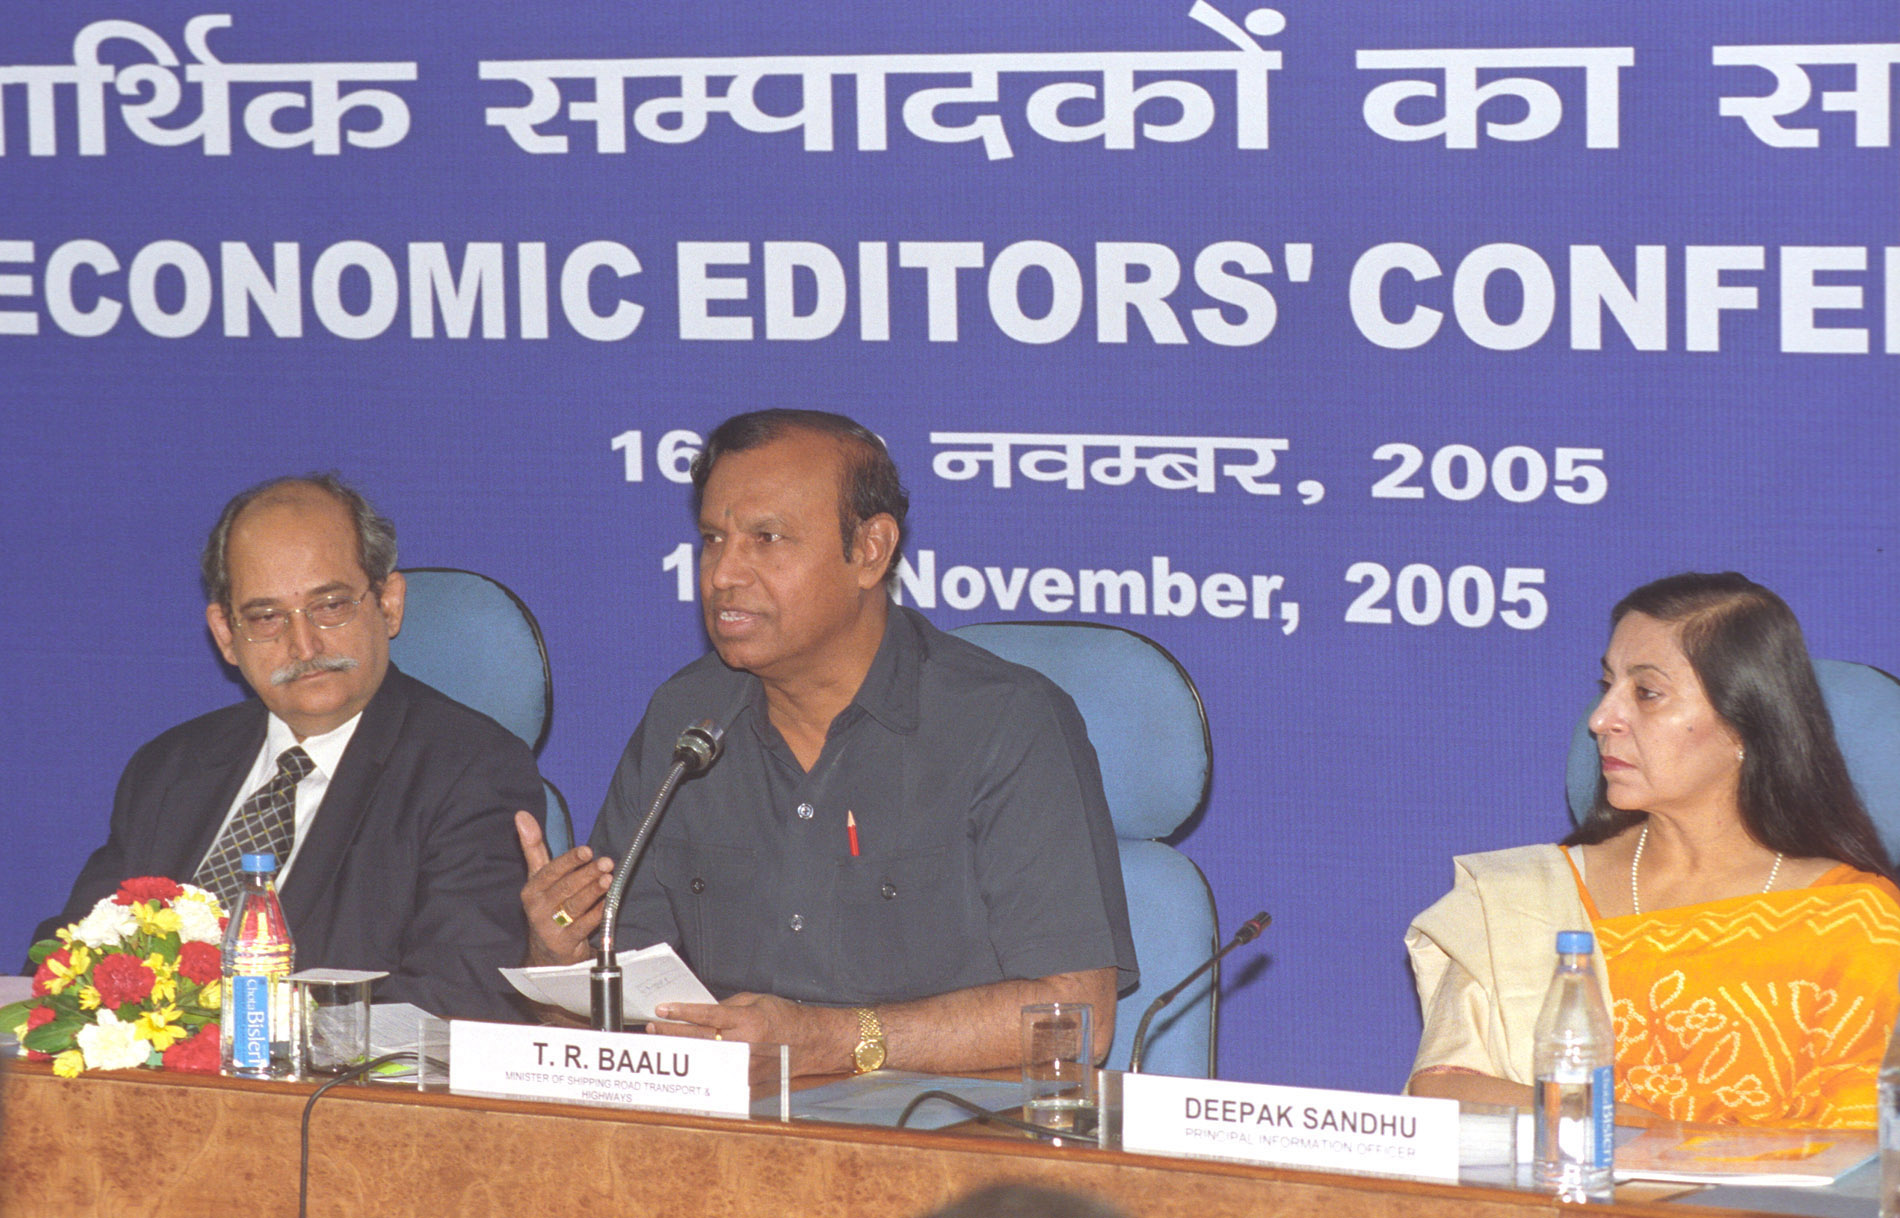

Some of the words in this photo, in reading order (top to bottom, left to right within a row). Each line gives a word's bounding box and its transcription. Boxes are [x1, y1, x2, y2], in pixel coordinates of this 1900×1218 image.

[2, 4, 427, 166] र्थिक
[481, 1, 1290, 165] सम्पादकों
[1352, 41, 1639, 157] का
[1697, 36, 1900, 164] स
[2, 229, 649, 348] ECONOMIC
[672, 234, 1283, 352] EDITORS
[1340, 232, 1893, 358] CONFE
[600, 420, 711, 493] 16
[925, 427, 1294, 500] नवम्बर
[1363, 435, 1613, 511] 2005
[876, 542, 1291, 625] November
[1333, 552, 1551, 634] 2005
[523, 1034, 589, 1077] T.R.
[597, 1044, 693, 1079] BAALU
[1183, 1096, 1290, 1132] DEEPAK
[1303, 1105, 1420, 1144] SANDHU